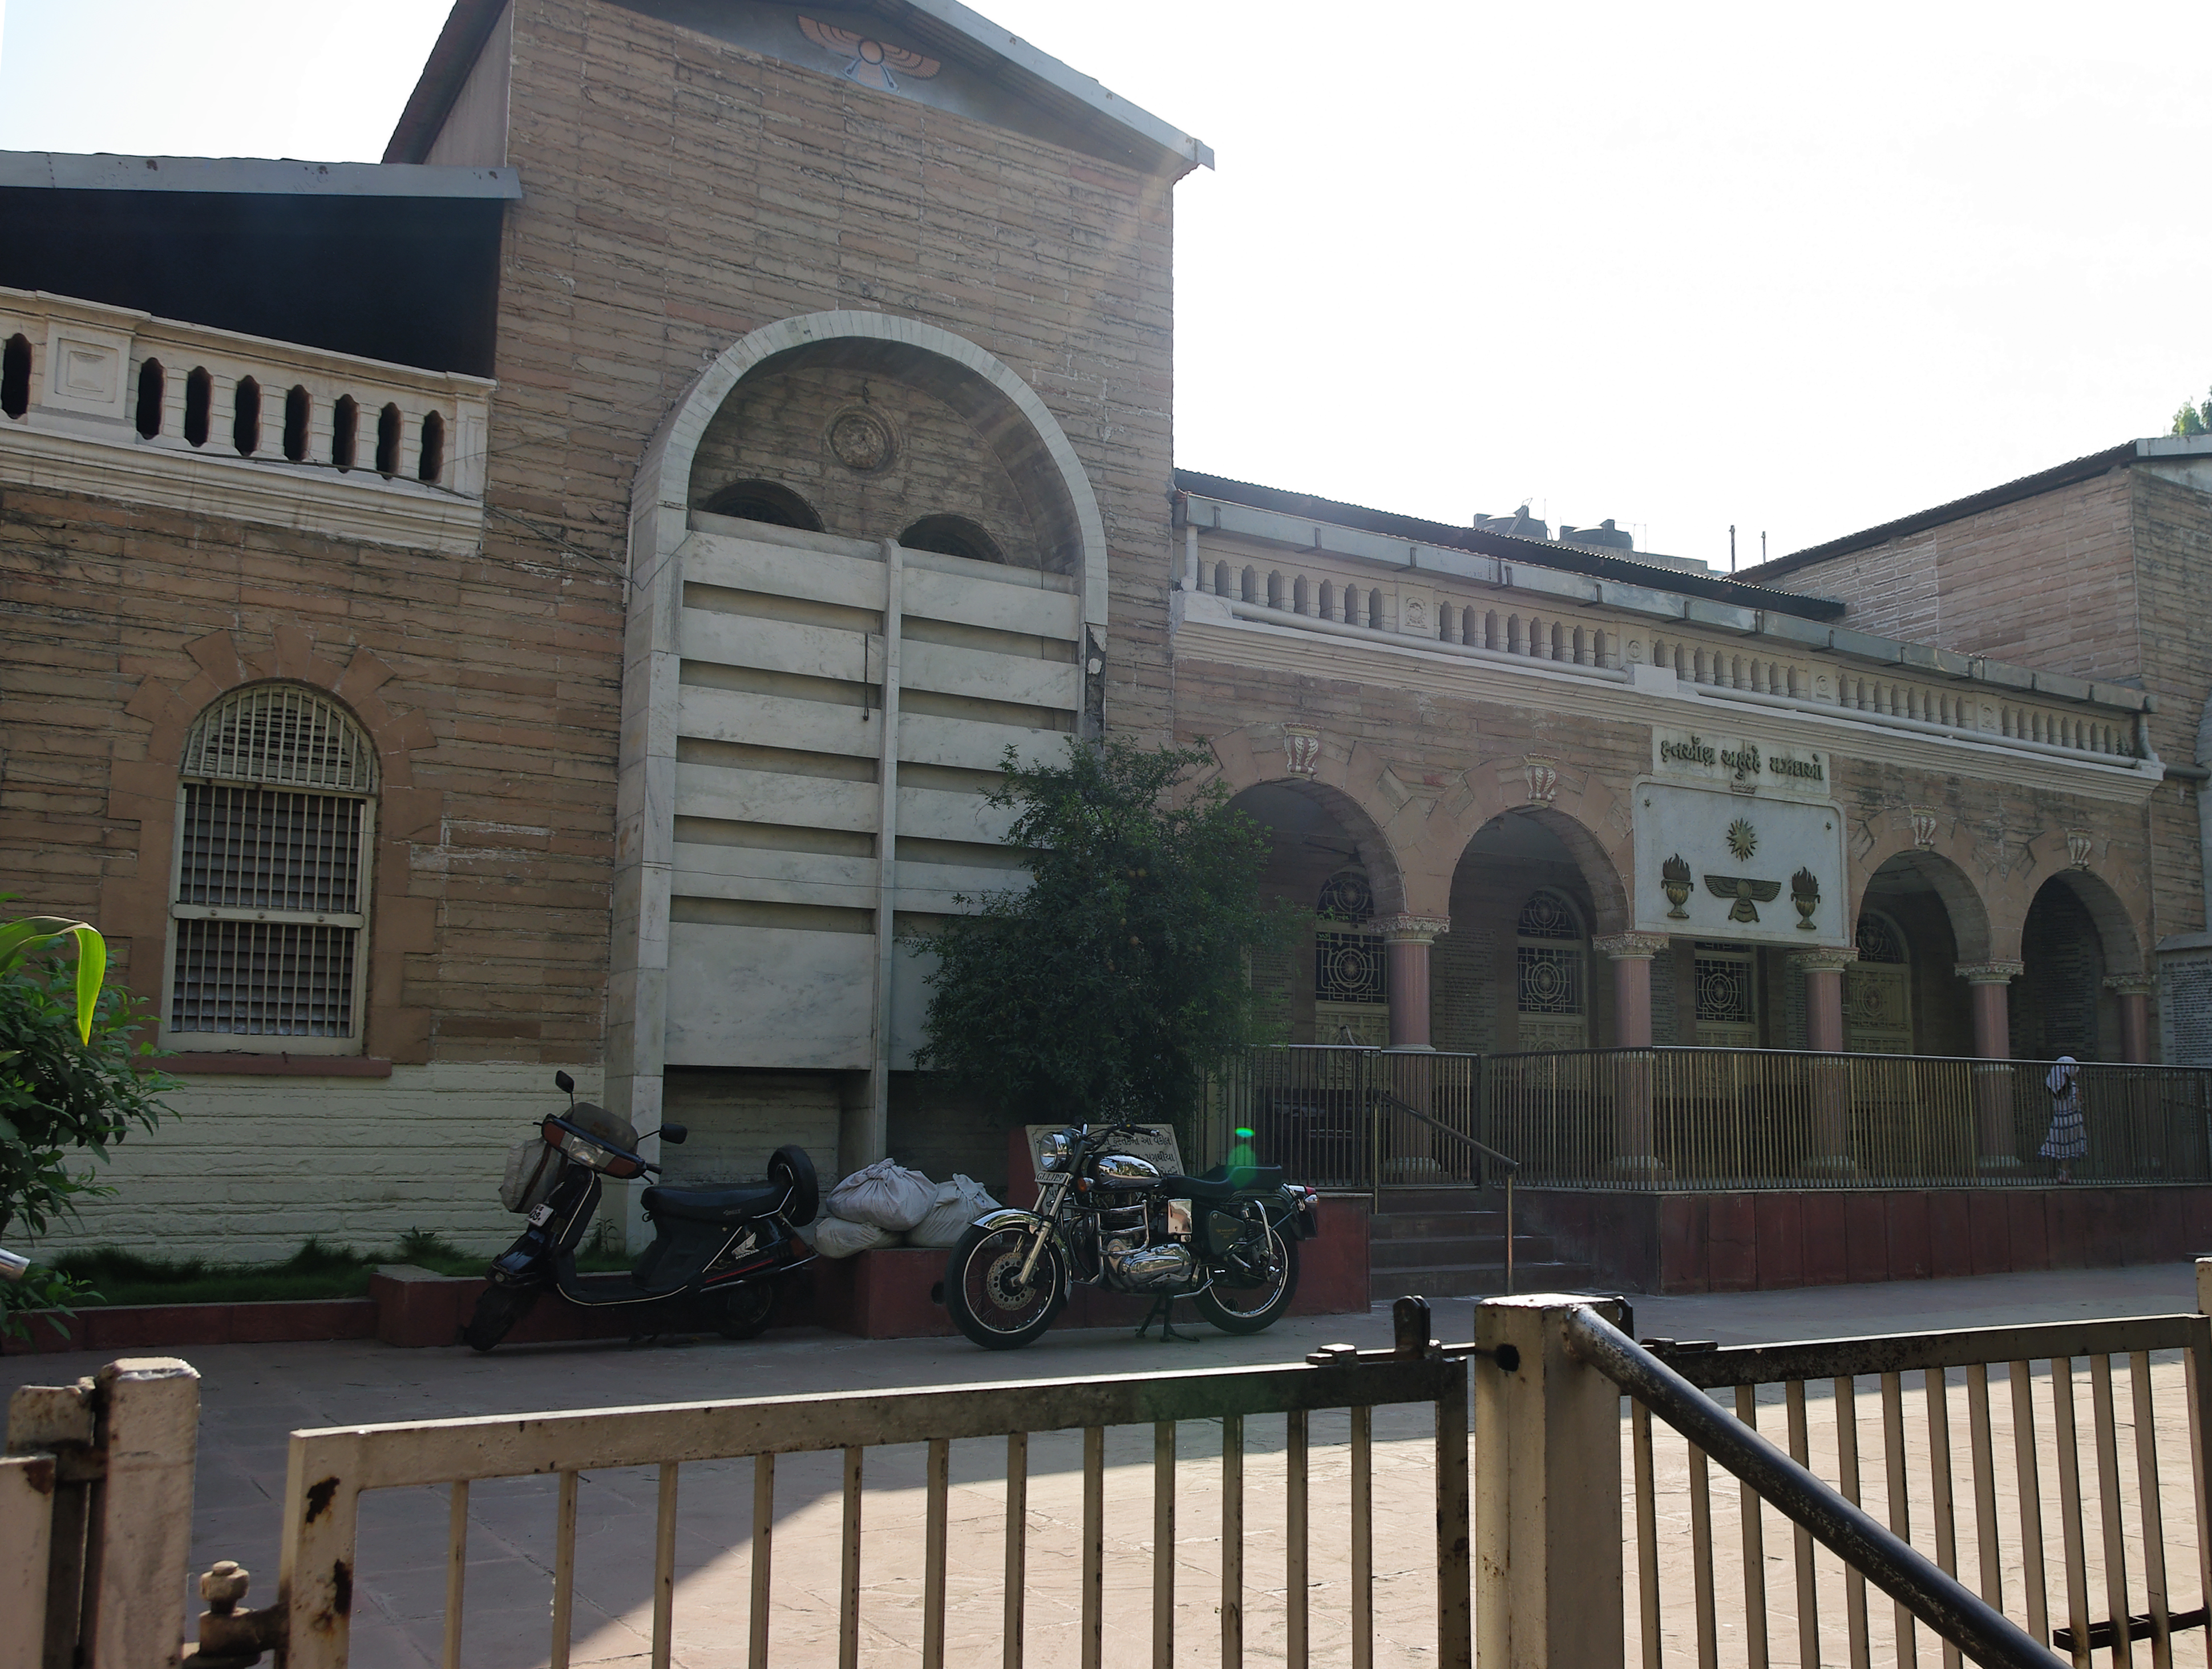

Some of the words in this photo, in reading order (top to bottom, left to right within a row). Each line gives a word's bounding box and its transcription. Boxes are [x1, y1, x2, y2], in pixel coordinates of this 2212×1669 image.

[1720, 744, 1766, 782] અહુરદે
[1768, 751, 1827, 780] મઝદાઓ